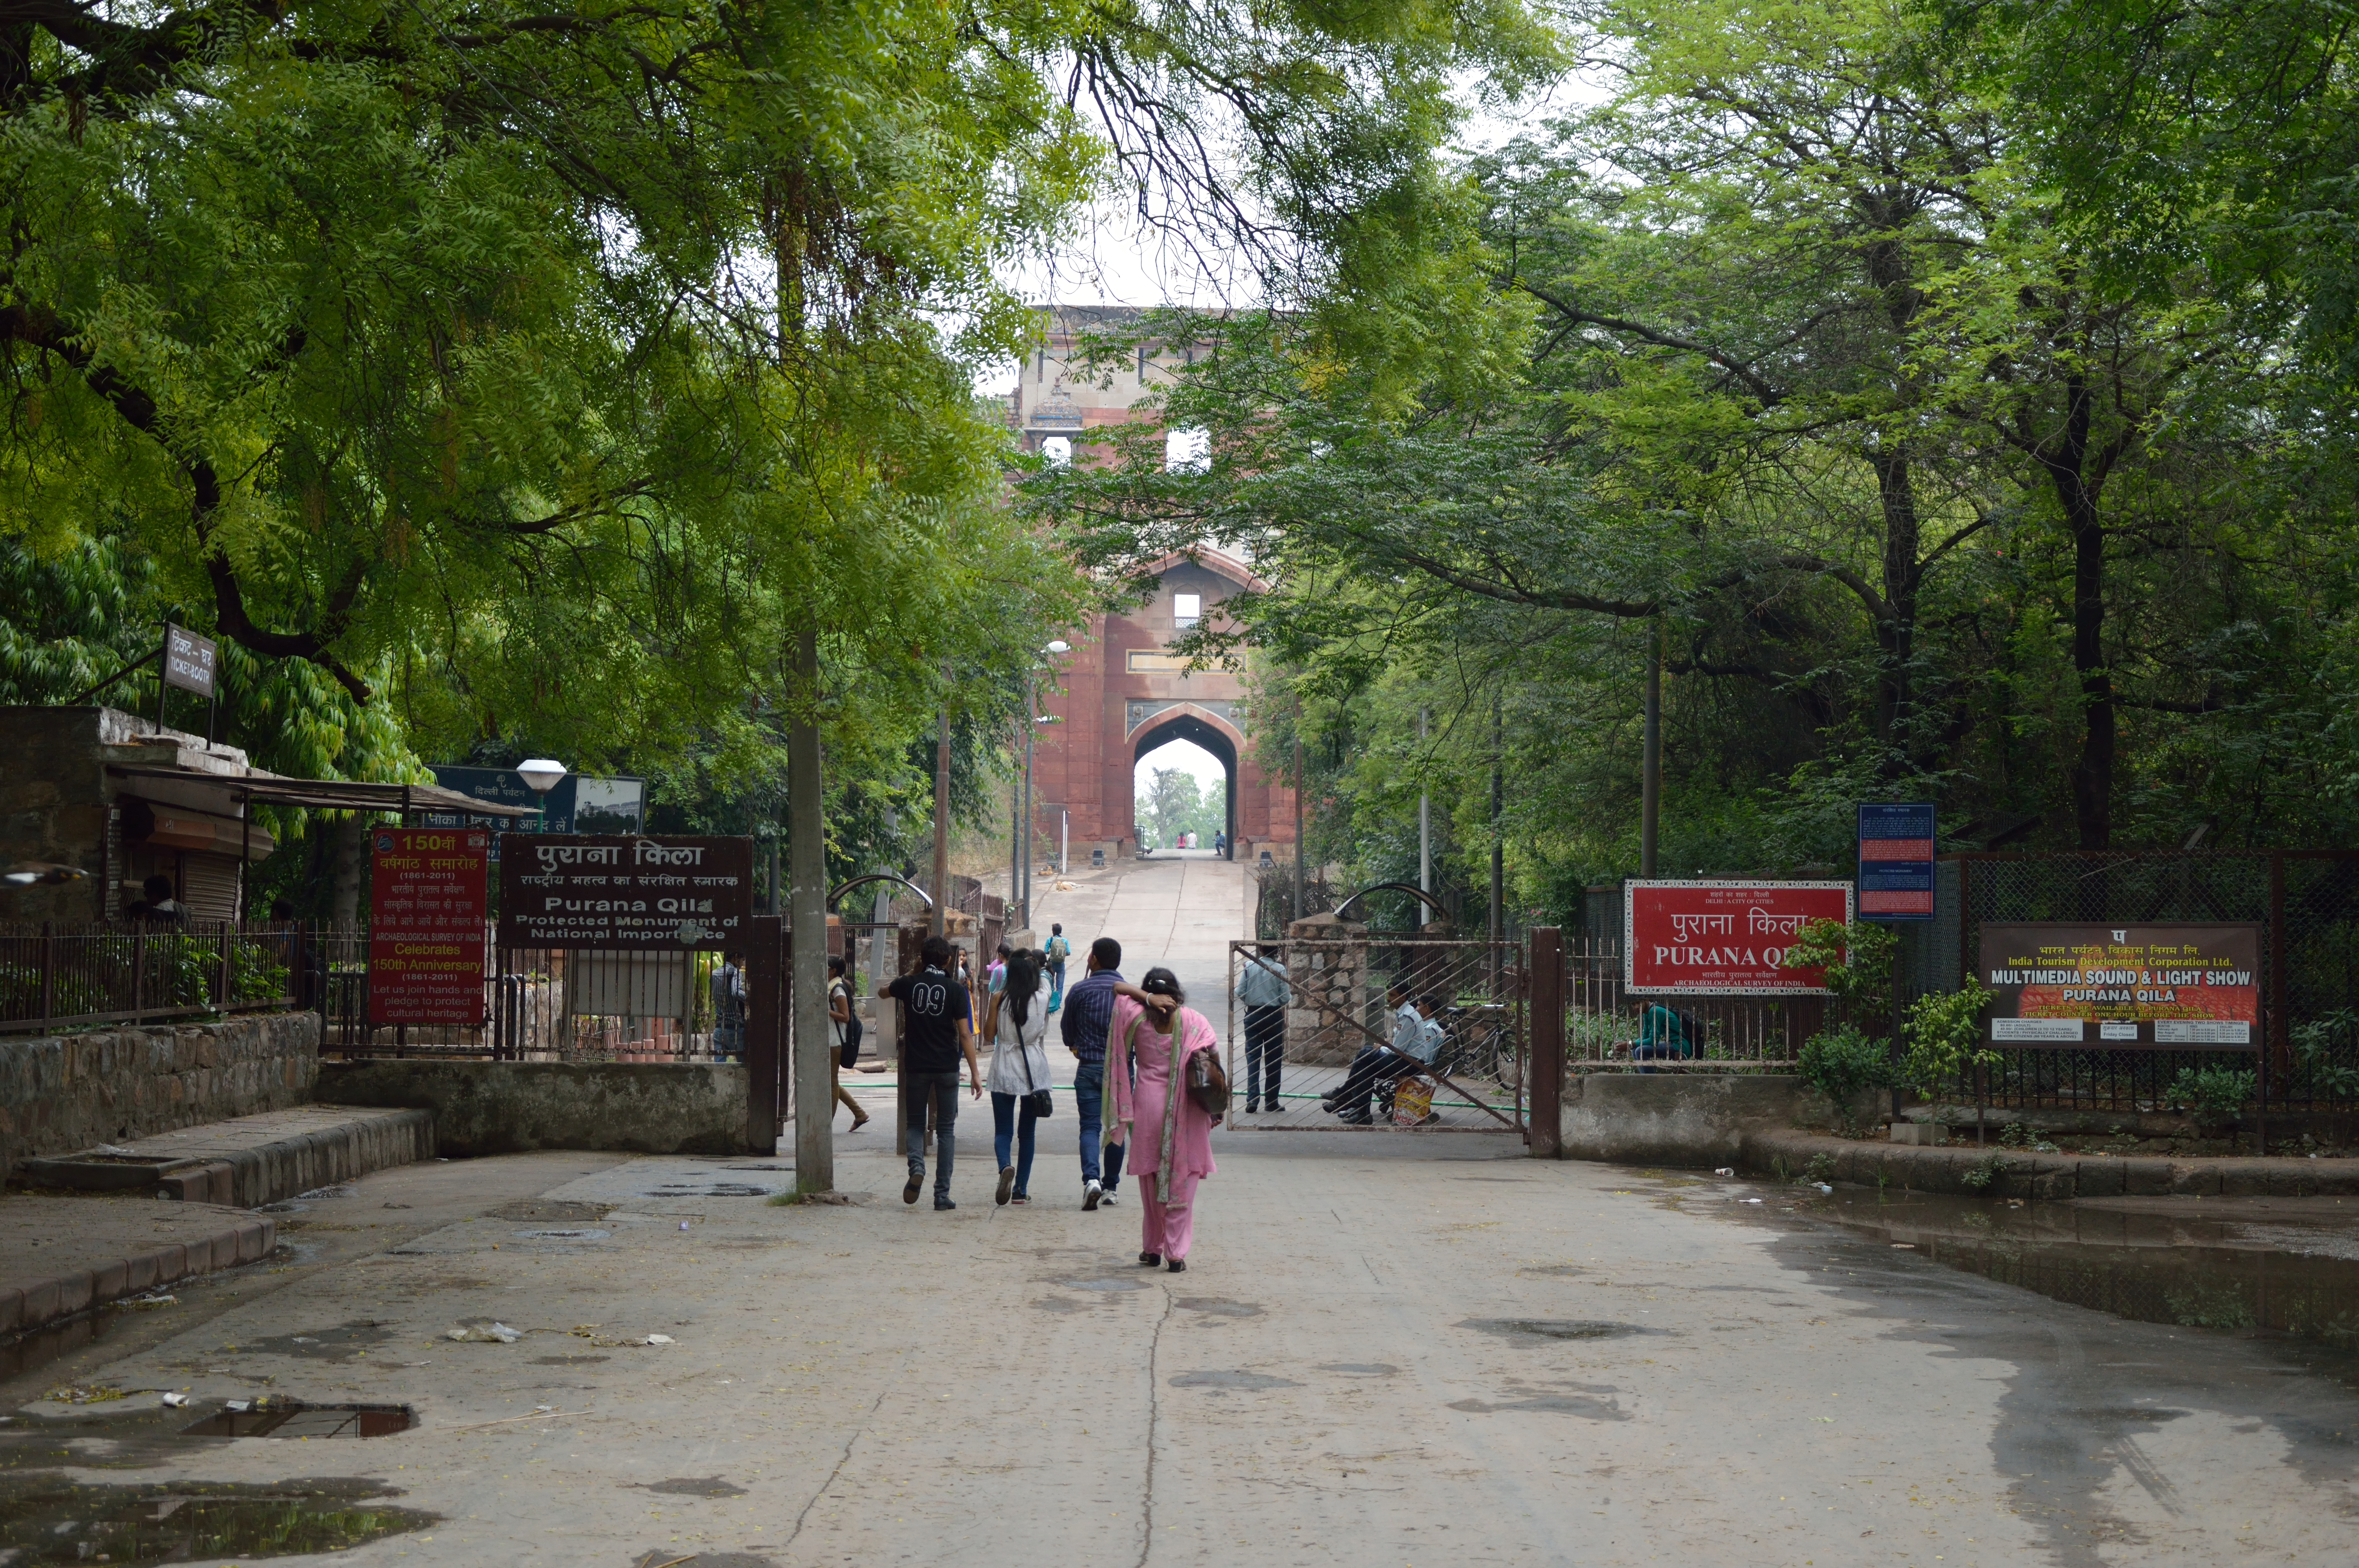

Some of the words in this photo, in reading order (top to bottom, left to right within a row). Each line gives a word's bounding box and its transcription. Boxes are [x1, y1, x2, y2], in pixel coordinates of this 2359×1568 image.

[169, 626, 194, 657] टिकट
[198, 646, 214, 668] घर
[170, 653, 192, 677] TICKET
[190, 663, 211, 686] BOOTH
[473, 784, 499, 797] दिल्ली
[502, 787, 526, 798] पर्यटन
[429, 811, 458, 827] नौका
[517, 819, 551, 832] आनद
[554, 815, 568, 832] लें
[402, 833, 457, 853] 150 वीं
[632, 837, 705, 866] किला
[378, 853, 422, 872] वर्षगांठ
[429, 853, 479, 871] समारोह
[534, 845, 623, 873] पुराना
[391, 881, 414, 894] भारतीय
[403, 871, 452, 879] 1861-2011
[417, 884, 440, 899] पुरातत्व
[443, 881, 465, 895] सर्वेक्षण
[521, 871, 566, 889] राष्ट्रीय
[571, 875, 608, 886] महत्व
[612, 875, 631, 886] का
[637, 871, 686, 888] संरक्षित
[692, 876, 739, 888] स्मारक
[1707, 886, 1725, 900] शहरों
[1724, 890, 1734, 899] का
[1734, 889, 1748, 898] शहर
[1750, 887, 1771, 898] दिल्ली
[383, 896, 414, 913] सांस्कृतिक
[416, 897, 440, 911] वि‍रासत
[443, 897, 452, 911] की
[455, 900, 473, 915] सुरक्षा
[545, 897, 648, 911] Purana
[655, 897, 713, 915] Qila
[1703, 897, 1725, 905] DELHI
[1726, 897, 1734, 905] A
[1730, 897, 1746, 904] CITY
[1744, 897, 1756, 905] OF
[1753, 897, 1775, 905] CITIES
[372, 913, 381, 927] के
[382, 913, 397, 927] लिये
[399, 913, 415, 927] आगे
[416, 913, 432, 927] आयें
[434, 913, 449, 927] और
[451, 914, 471, 928] संकल्प
[473, 913, 483, 927] लें।
[515, 914, 609, 926] Protected
[614, 916, 717, 928] Monument
[721, 915, 739, 929] of
[1670, 910, 1736, 945] पुराना
[374, 932, 431, 941] ARCHAEOLOGICAL
[431, 932, 456, 942] SURVEY
[455, 932, 464, 942] OF
[465, 933, 482, 942] INDIA
[531, 928, 610, 940] National
[618, 928, 726, 940] ५००००००३००
[393, 942, 461, 956] Celebrates
[2038, 945, 2066, 955] भारत
[2071, 942, 2103, 955] पर्यटन
[2105, 941, 2144, 957] विकास
[2147, 940, 2179, 956] निगम
[2180, 941, 2202, 958] लि.
[374, 958, 407, 971] 150th
[407, 959, 482, 975] Anniversary
[1652, 945, 1758, 967] PURANA
[2006, 953, 2034, 966] India
[2034, 954, 2076, 967] Tourism
[2077, 956, 2145, 970] Development
[2147, 954, 2209, 969] Corporation
[2211, 955, 2234, 969] Ltd.
[405, 973, 428, 982] 1861
[432, 972, 454, 982] 2011
[1672, 977, 1743, 987] ARCHAEOLOGICAL
[1699, 969, 1727, 980] भारतीय
[1727, 971, 1753, 982] पुरातत्व
[1741, 977, 1774, 988] SURVEY
[1753, 969, 1779, 980] सर्वेक्षण
[1772, 978, 1784, 988] OF
[1784, 978, 1807, 988] INDIA
[1989, 968, 2083, 985] MULTIMEDIA
[2083, 967, 2140, 986] SOUND
[2137, 967, 2154, 987] &
[2153, 967, 2203, 987] LIGHT
[2203, 967, 2251, 987] SHOW
[372, 985, 390, 994] Let
[391, 986, 405, 995] us
[406, 984, 426, 997] join
[429, 984, 460, 996] hands
[463, 985, 483, 996] and
[2061, 987, 2133, 1002] PURANA
[2134, 987, 2177, 1003] QILA
[383, 996, 420, 1008] pledge
[385, 1008, 424, 1018] cultural
[422, 996, 433, 1006] to
[425, 1008, 469, 1021] heritage
[435, 996, 472, 1007] protect
[1995, 1031, 2014, 1040] SENIOR
[1996, 1029, 2020, 1035] STUDENTS
[1995, 1019, 2022, 1024] ADMISSION
[2011, 1033, 2033, 1039] CITIZENS
[2014, 1023, 2031, 1027] ADULT
[2014, 1025, 2038, 1033] CHILDREN
[2020, 1017, 2043, 1025] CHARGES
[2021, 1030, 2049, 1035] PHYSICALLY
[2022, 1009, 2054, 1018] TICKET
[2040, 1026, 2050, 1032] TO
[2039, 1033, 2056, 1040] YEARS
[2036, 1003, 2073, 1013] TICKETS
[2053, 1026, 2074, 1033] YEARSY
[2048, 1029, 2079, 1035] CHALLENGED
[2058, 1034, 2075, 1039] ABOVE)
[2052, 1009, 2094, 1017] COUNTER
[2072, 1004, 2091, 1012] ARE
[2091, 1009, 2112, 1018] ONE
[2102, 1024, 2119, 1032] शुक्रवार
[2102, 1031, 2119, 1038] Friday
[2089, 1003, 2135, 1011] AVAILABLE
[2112, 1011, 2137, 1019] HOUR
[2116, 1030, 2135, 1038] Closed
[2118, 1025, 2136, 1032] अवकाश
[2134, 1005, 2148, 1012] AT
[2136, 1010, 2171, 1018] मानव्यवस्थे
[2147, 1005, 2182, 1012] PURANA
[2156, 1019, 2174, 1025] EVERY
[2171, 1011, 2191, 1020] THE
[2172, 1019, 2194, 1026] EVENING
[2181, 1003, 2203, 1015] QILA
[2192, 1018, 2207, 1027] TWO
[2190, 1010, 2217, 1019] SHOW
[2205, 1020, 2225, 1026] SHOWS
[2223, 1020, 2245, 1026] TIMINGS